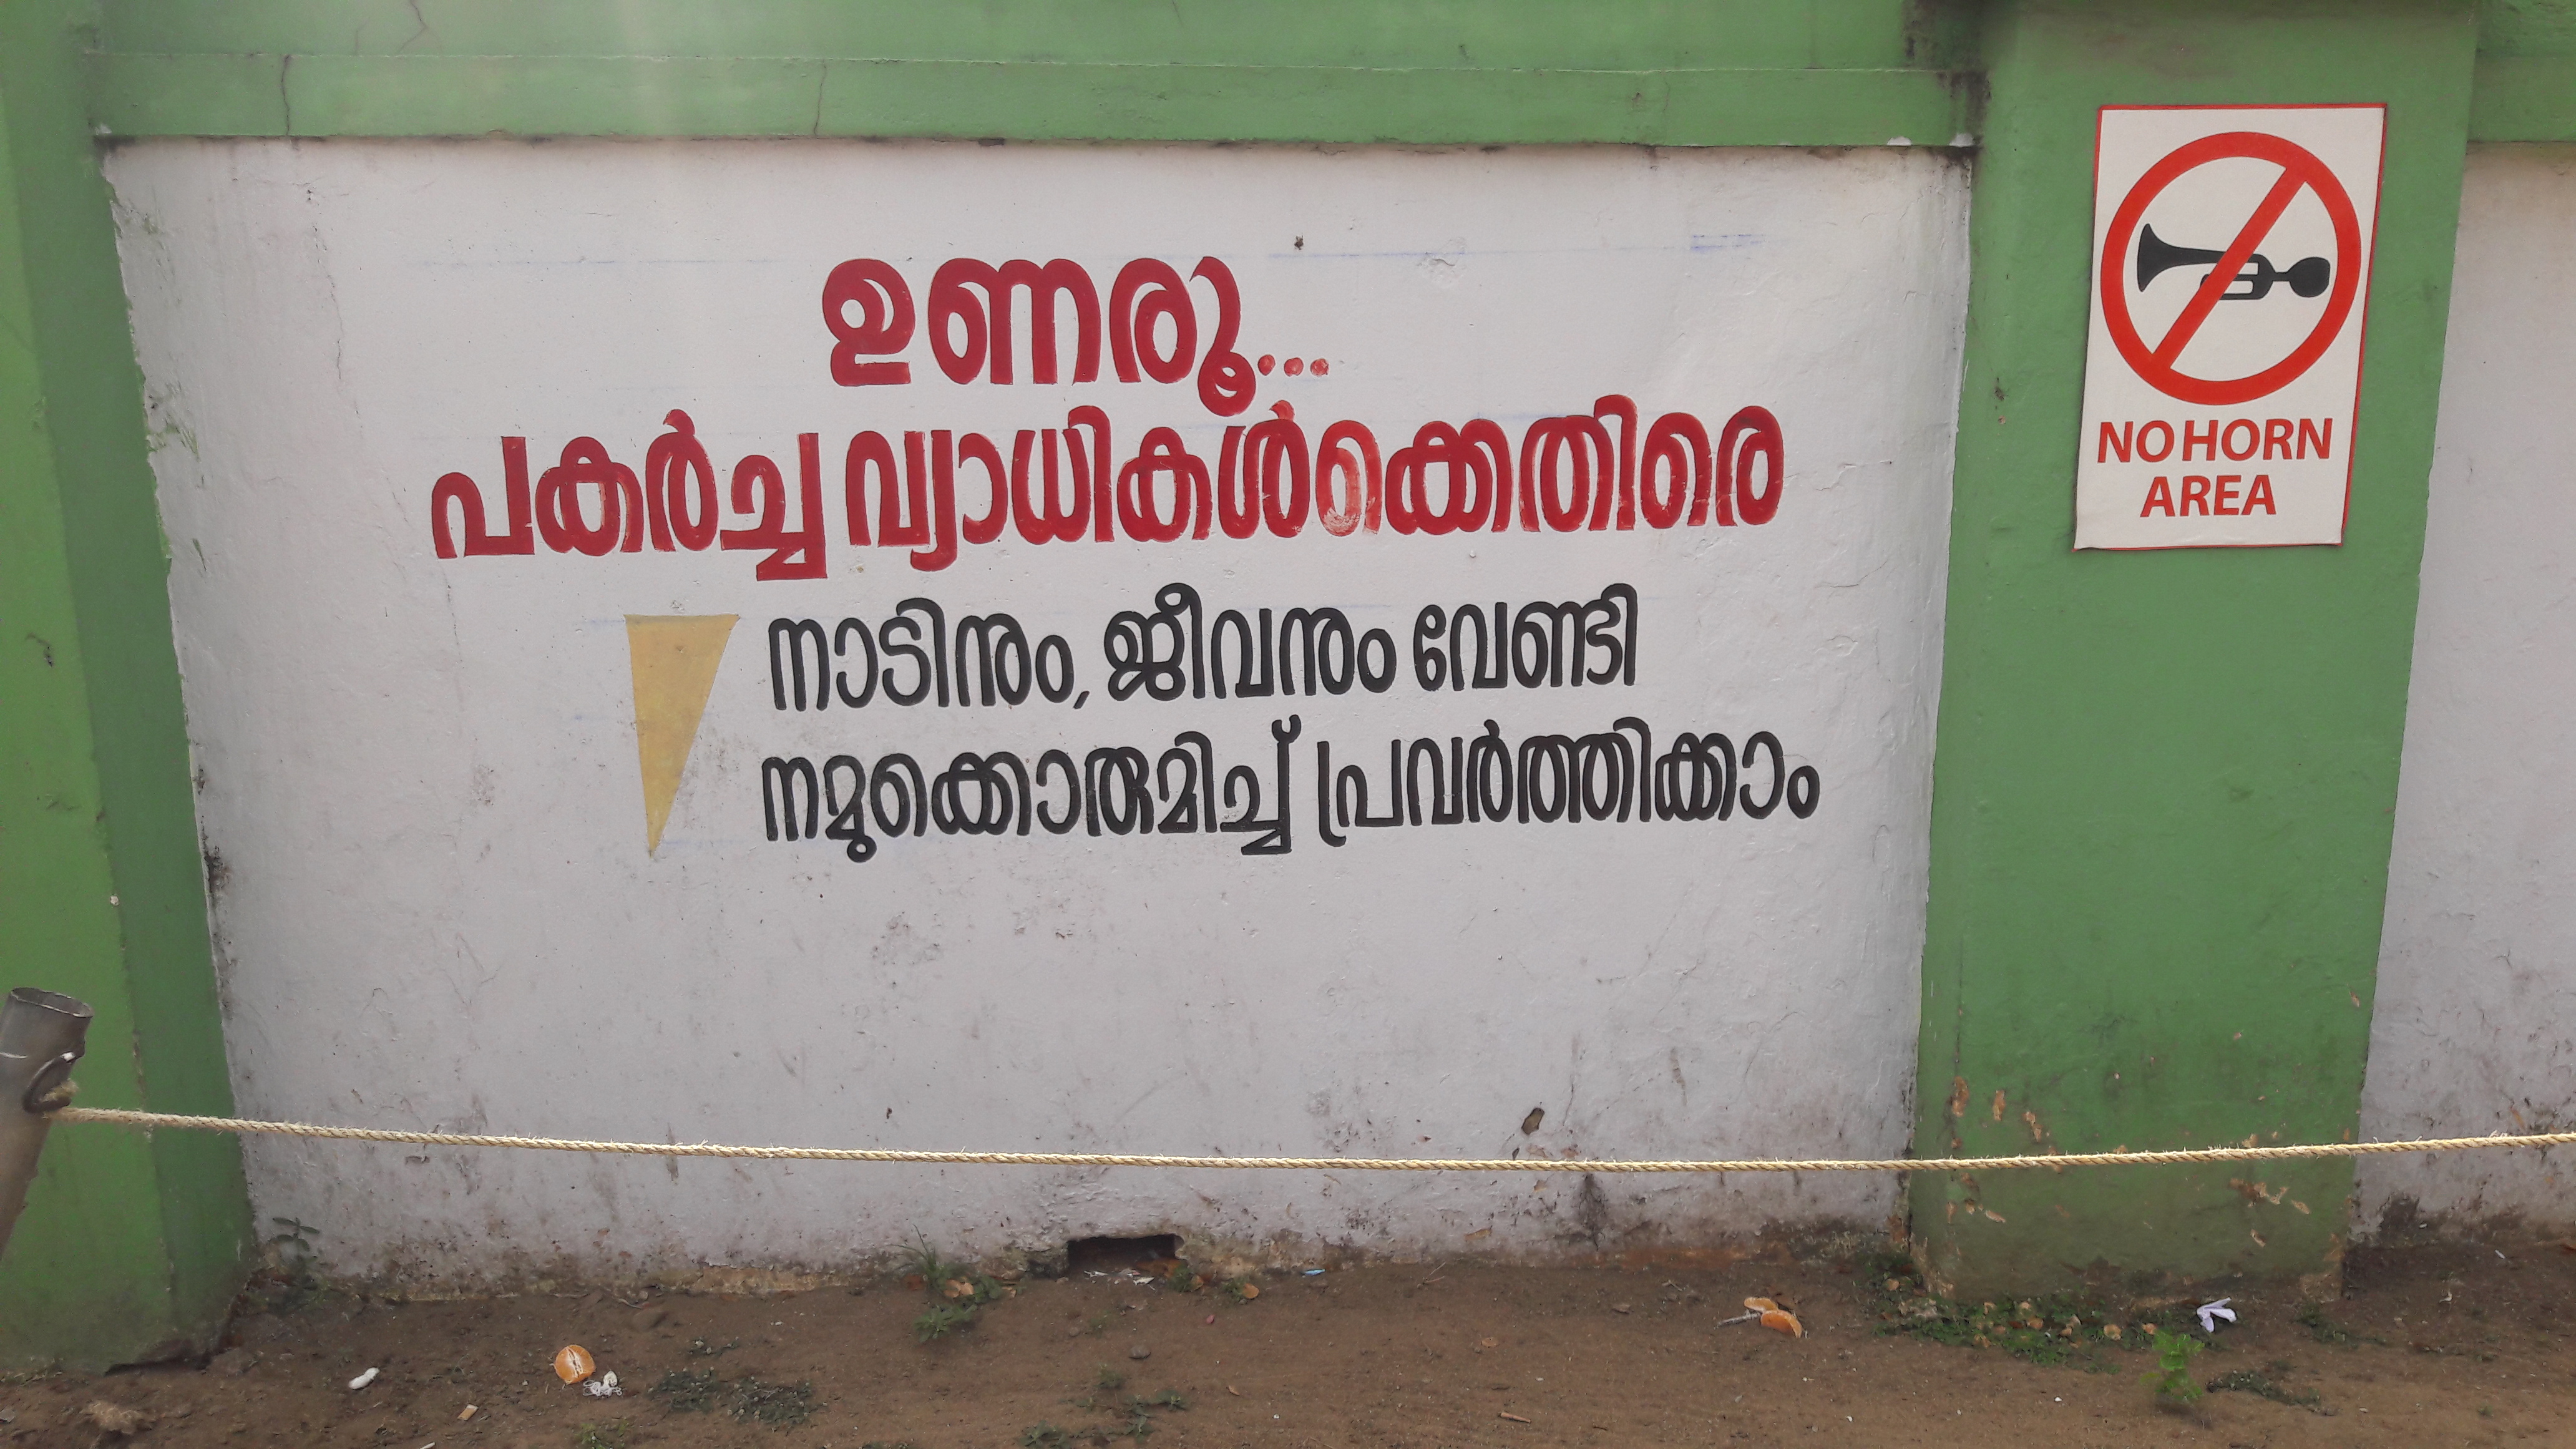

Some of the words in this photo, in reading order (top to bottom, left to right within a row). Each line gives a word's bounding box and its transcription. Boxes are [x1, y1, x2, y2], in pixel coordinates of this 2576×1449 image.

[817, 248, 1270, 422] ഉണരൂ
[427, 385, 1788, 586] പകർച്ചവ്യാധികൾക്കെതിരെ
[2130, 471, 2280, 524] AREA
[2091, 408, 2341, 471] NOHORN
[769, 588, 1081, 715] നാടിനും
[1094, 572, 1399, 704] ജീവനും
[1409, 568, 1642, 696] വേണ്ടി
[754, 708, 1304, 866] നമുക്കൊരുമിച്ച്
[1317, 710, 1823, 851] പ്രവർത്തിക്കാം